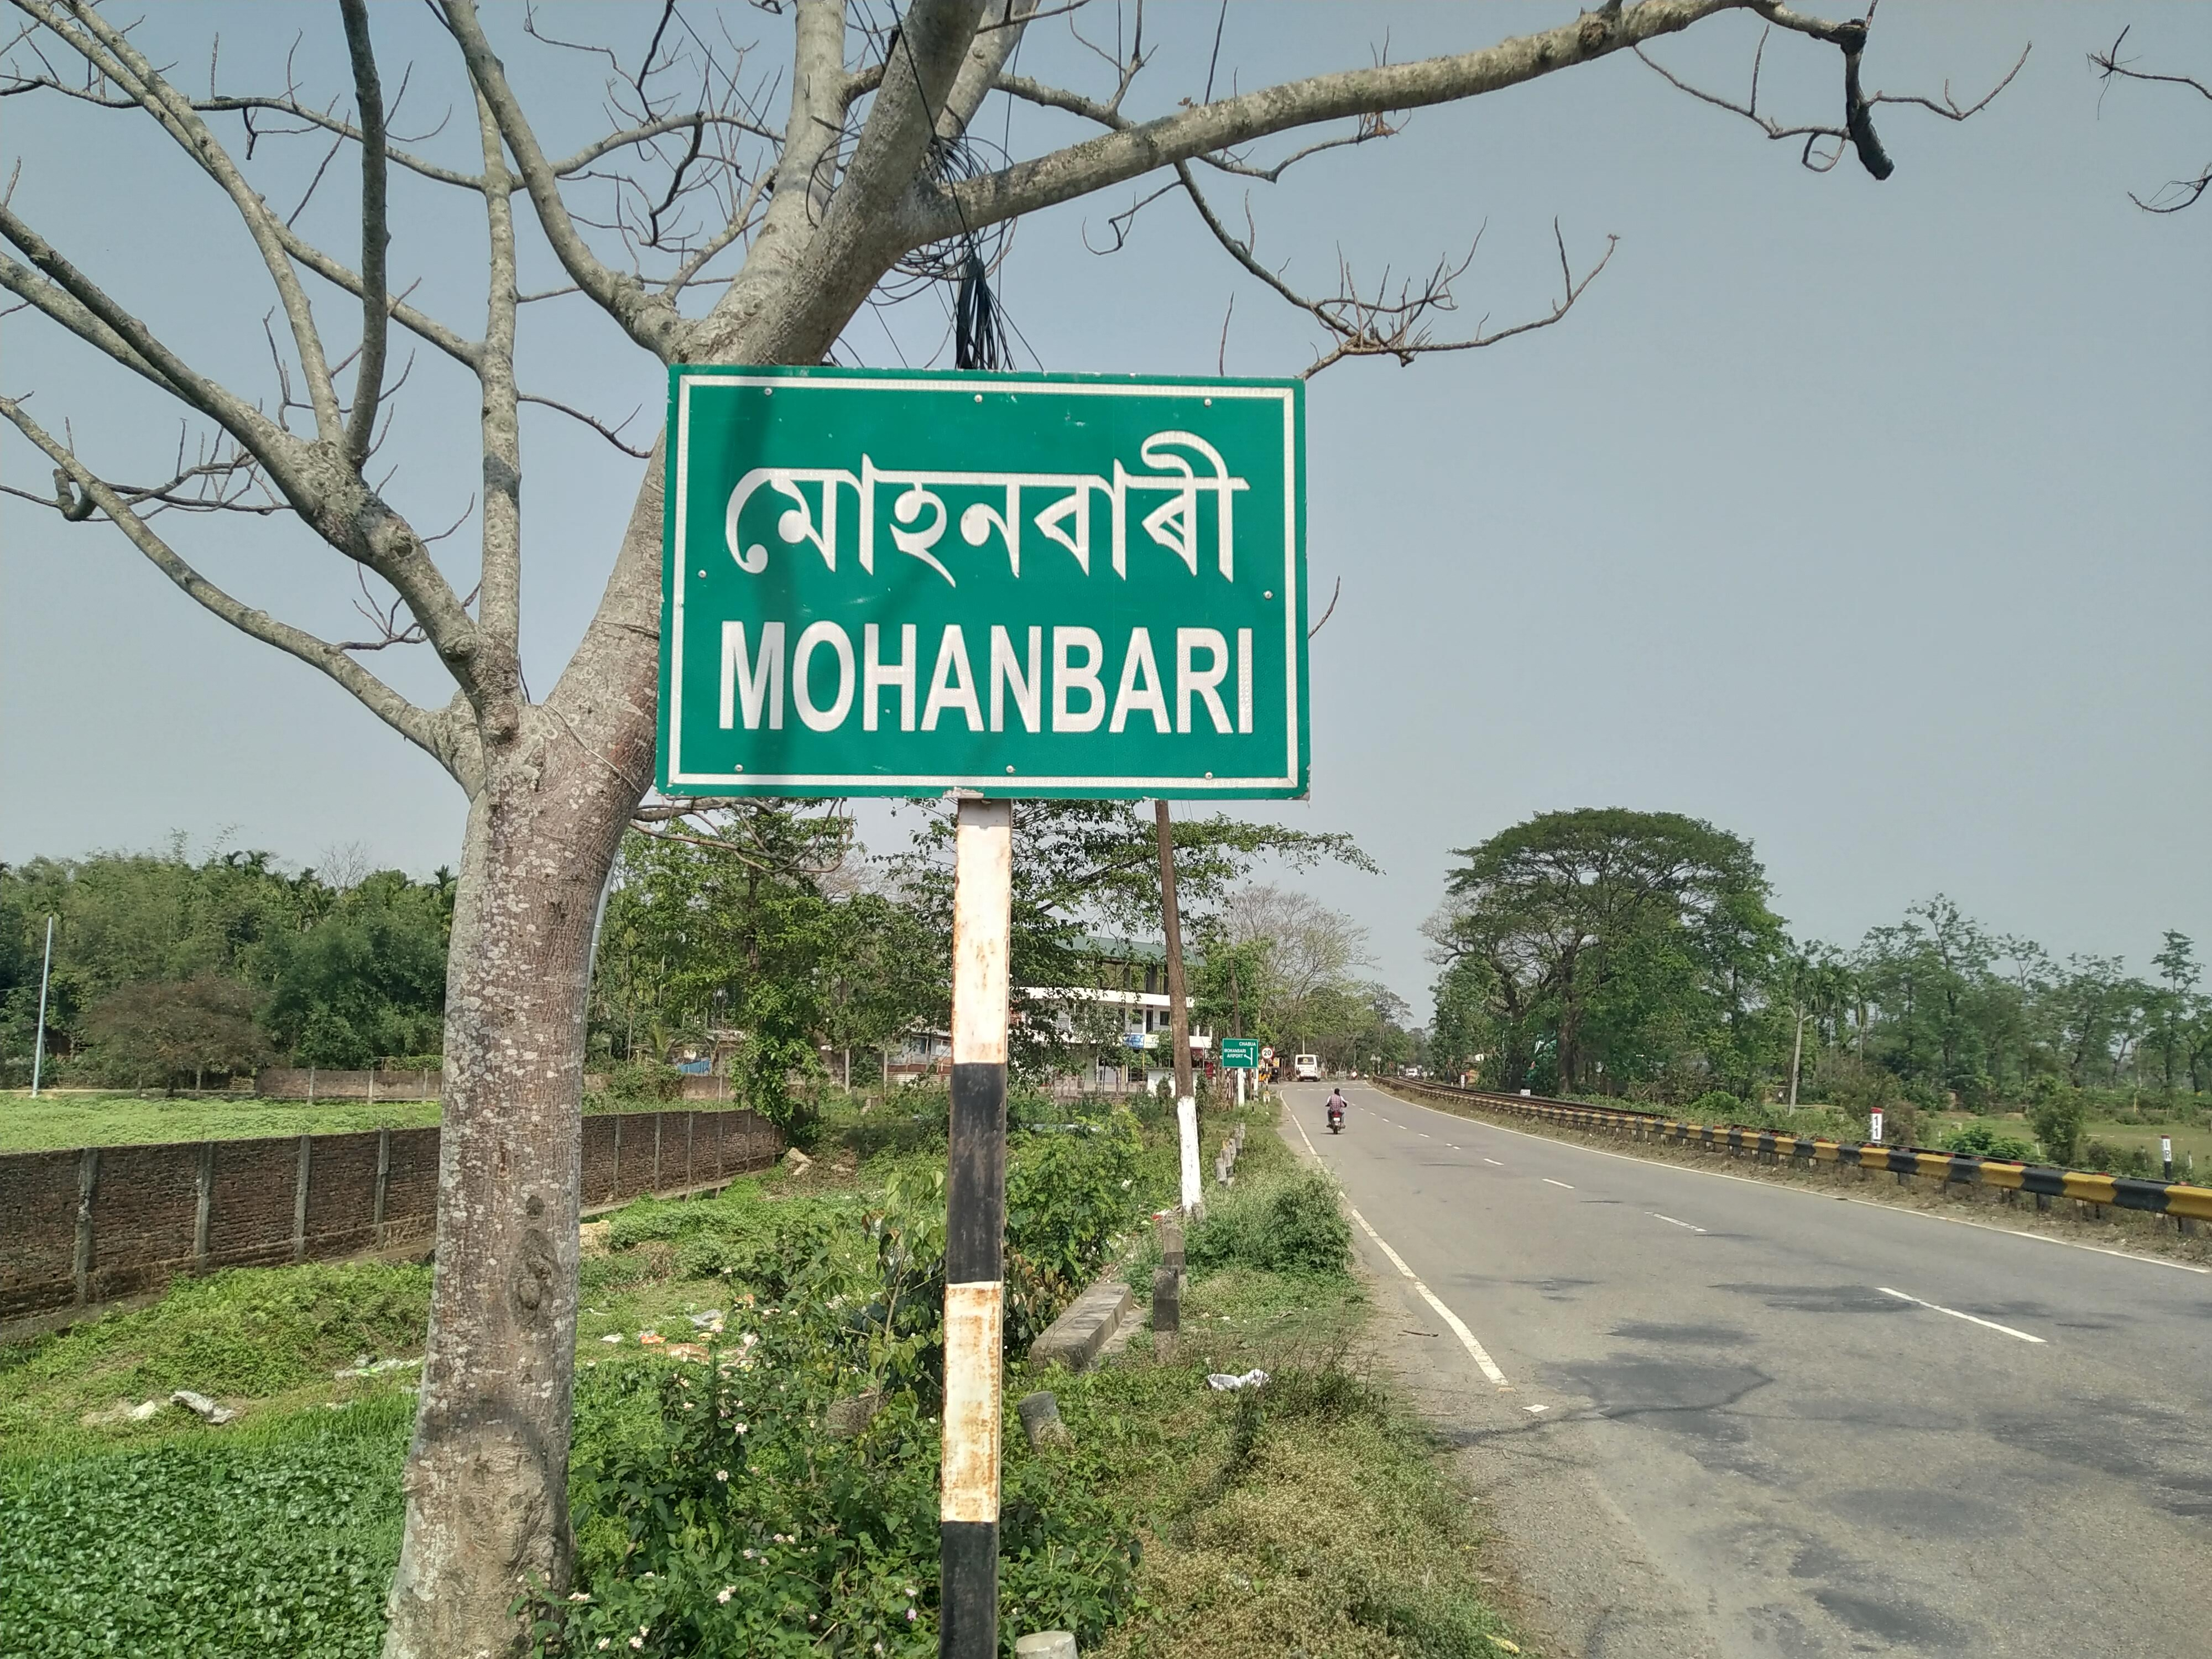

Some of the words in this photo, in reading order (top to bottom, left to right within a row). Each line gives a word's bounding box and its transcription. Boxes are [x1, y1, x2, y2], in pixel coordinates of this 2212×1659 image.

[721, 423, 1254, 587] মোহনবাৰী
[714, 617, 1262, 737] MOHANBARI
[1222, 1046, 1249, 1056] MOHANBARI
[1236, 1036, 1258, 1048] CHABUA